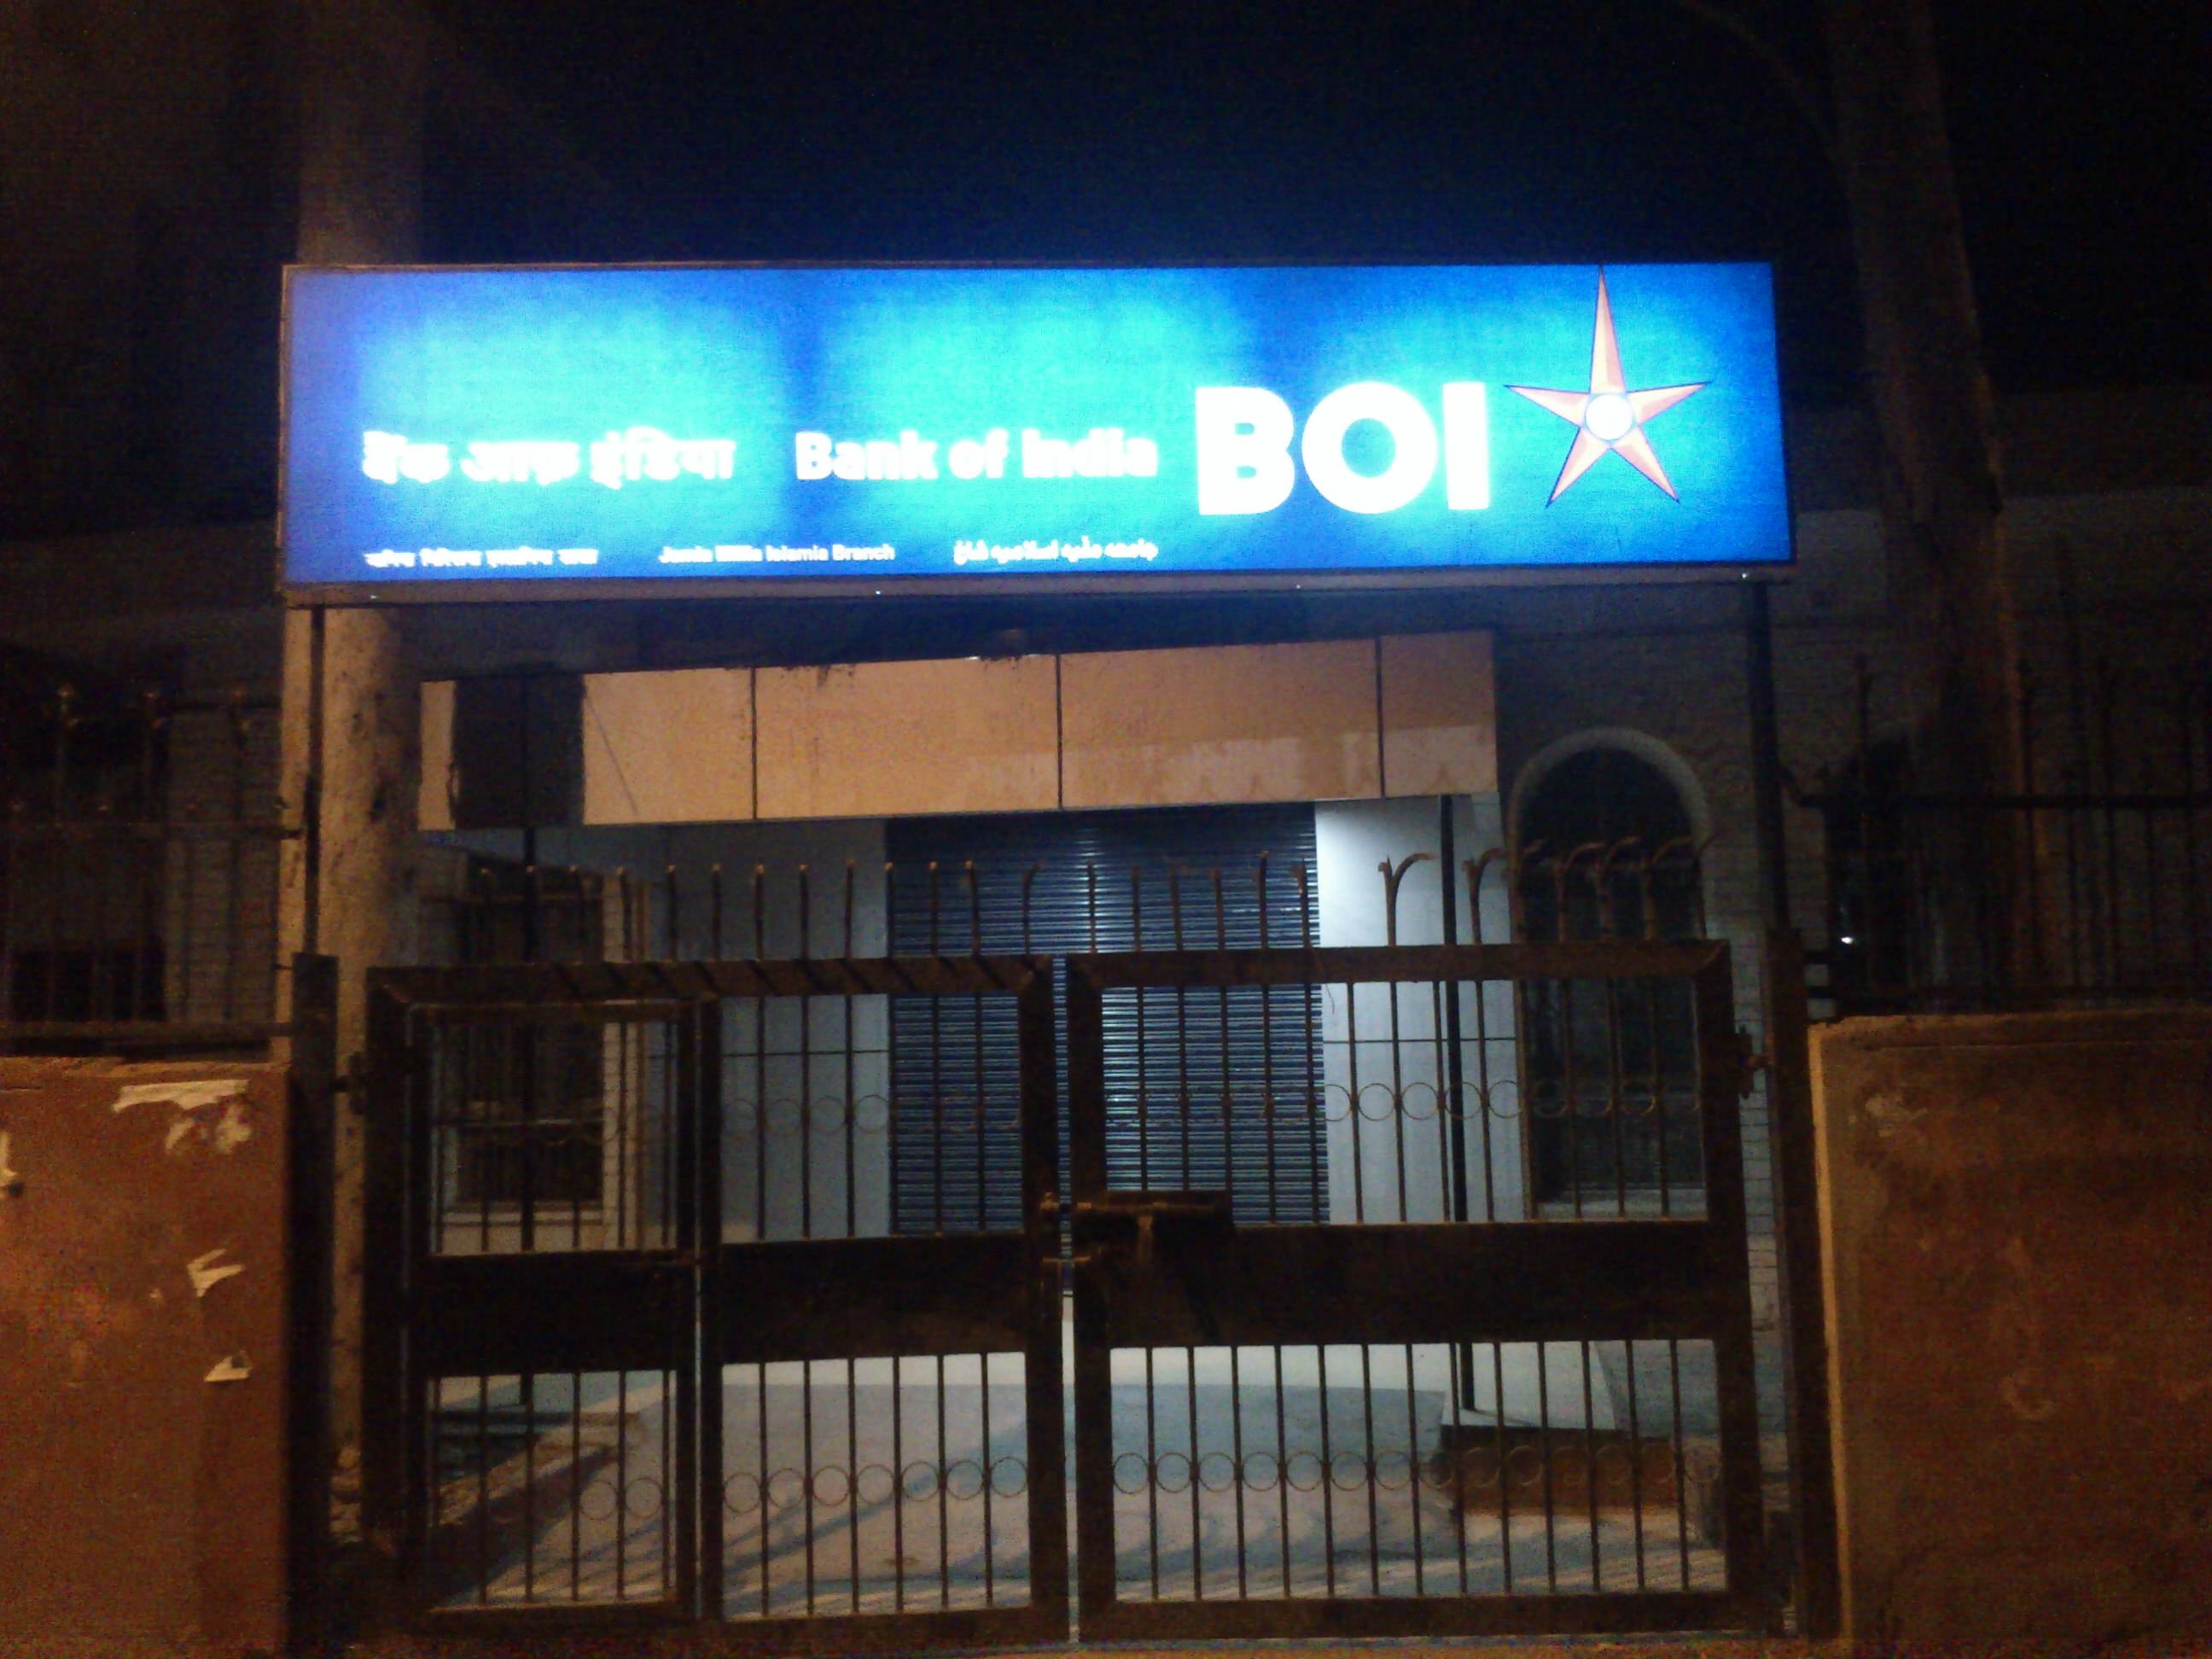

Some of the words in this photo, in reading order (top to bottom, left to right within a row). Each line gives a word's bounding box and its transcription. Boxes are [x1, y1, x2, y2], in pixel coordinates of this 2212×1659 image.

[359, 429, 453, 487] बैंक
[457, 439, 583, 488] आफ़
[586, 424, 734, 493] इंडिया
[795, 430, 940, 482] Bank
[941, 428, 1010, 486] of
[1020, 428, 1158, 480] India
[1194, 380, 1493, 516] BOI
[656, 544, 713, 565] Jamia
[761, 540, 829, 564] Islamia
[830, 542, 899, 562] Branch